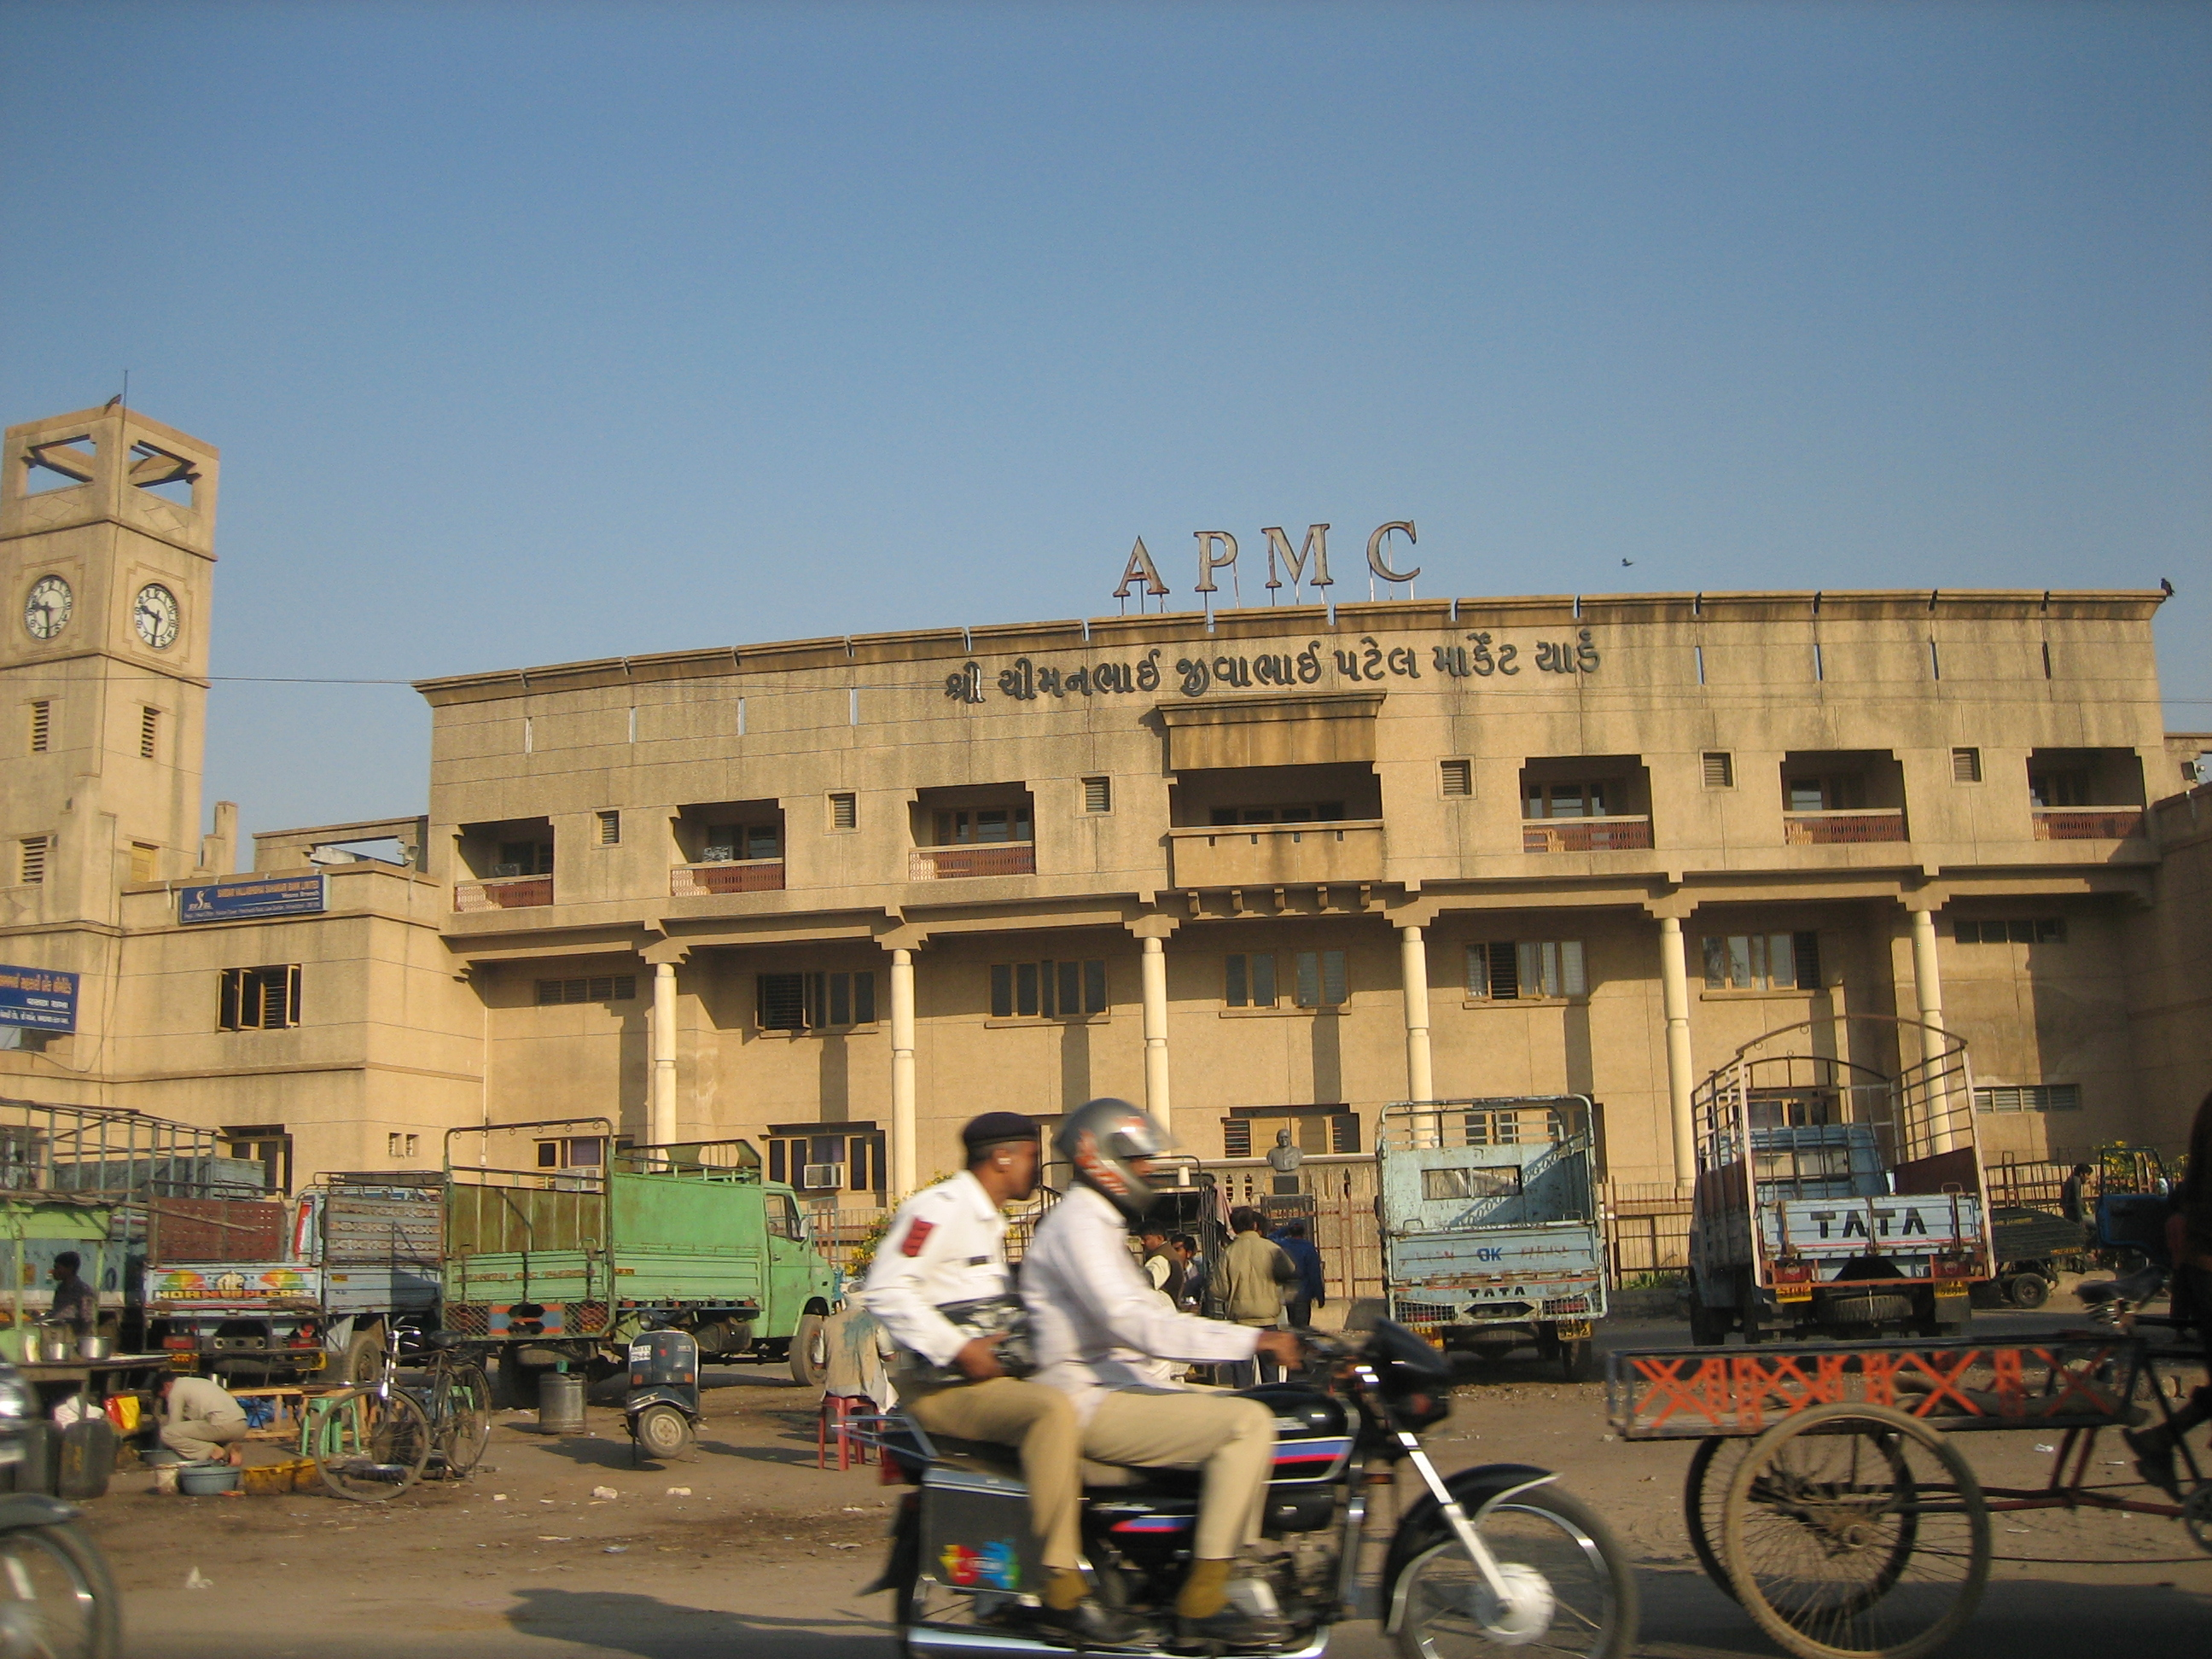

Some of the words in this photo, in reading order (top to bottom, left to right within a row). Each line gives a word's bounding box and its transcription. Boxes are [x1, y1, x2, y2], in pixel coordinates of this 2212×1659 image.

[1109, 514, 1423, 608] APMC
[939, 656, 990, 713] શ્રી
[997, 644, 1160, 707] ચીમનભાઈ
[1178, 640, 1322, 695] જીવાભાઈ
[1327, 632, 1420, 688] ૫ટેલ
[1423, 629, 1525, 683] માર્કેટ
[1528, 626, 1605, 683] યાર્ડ